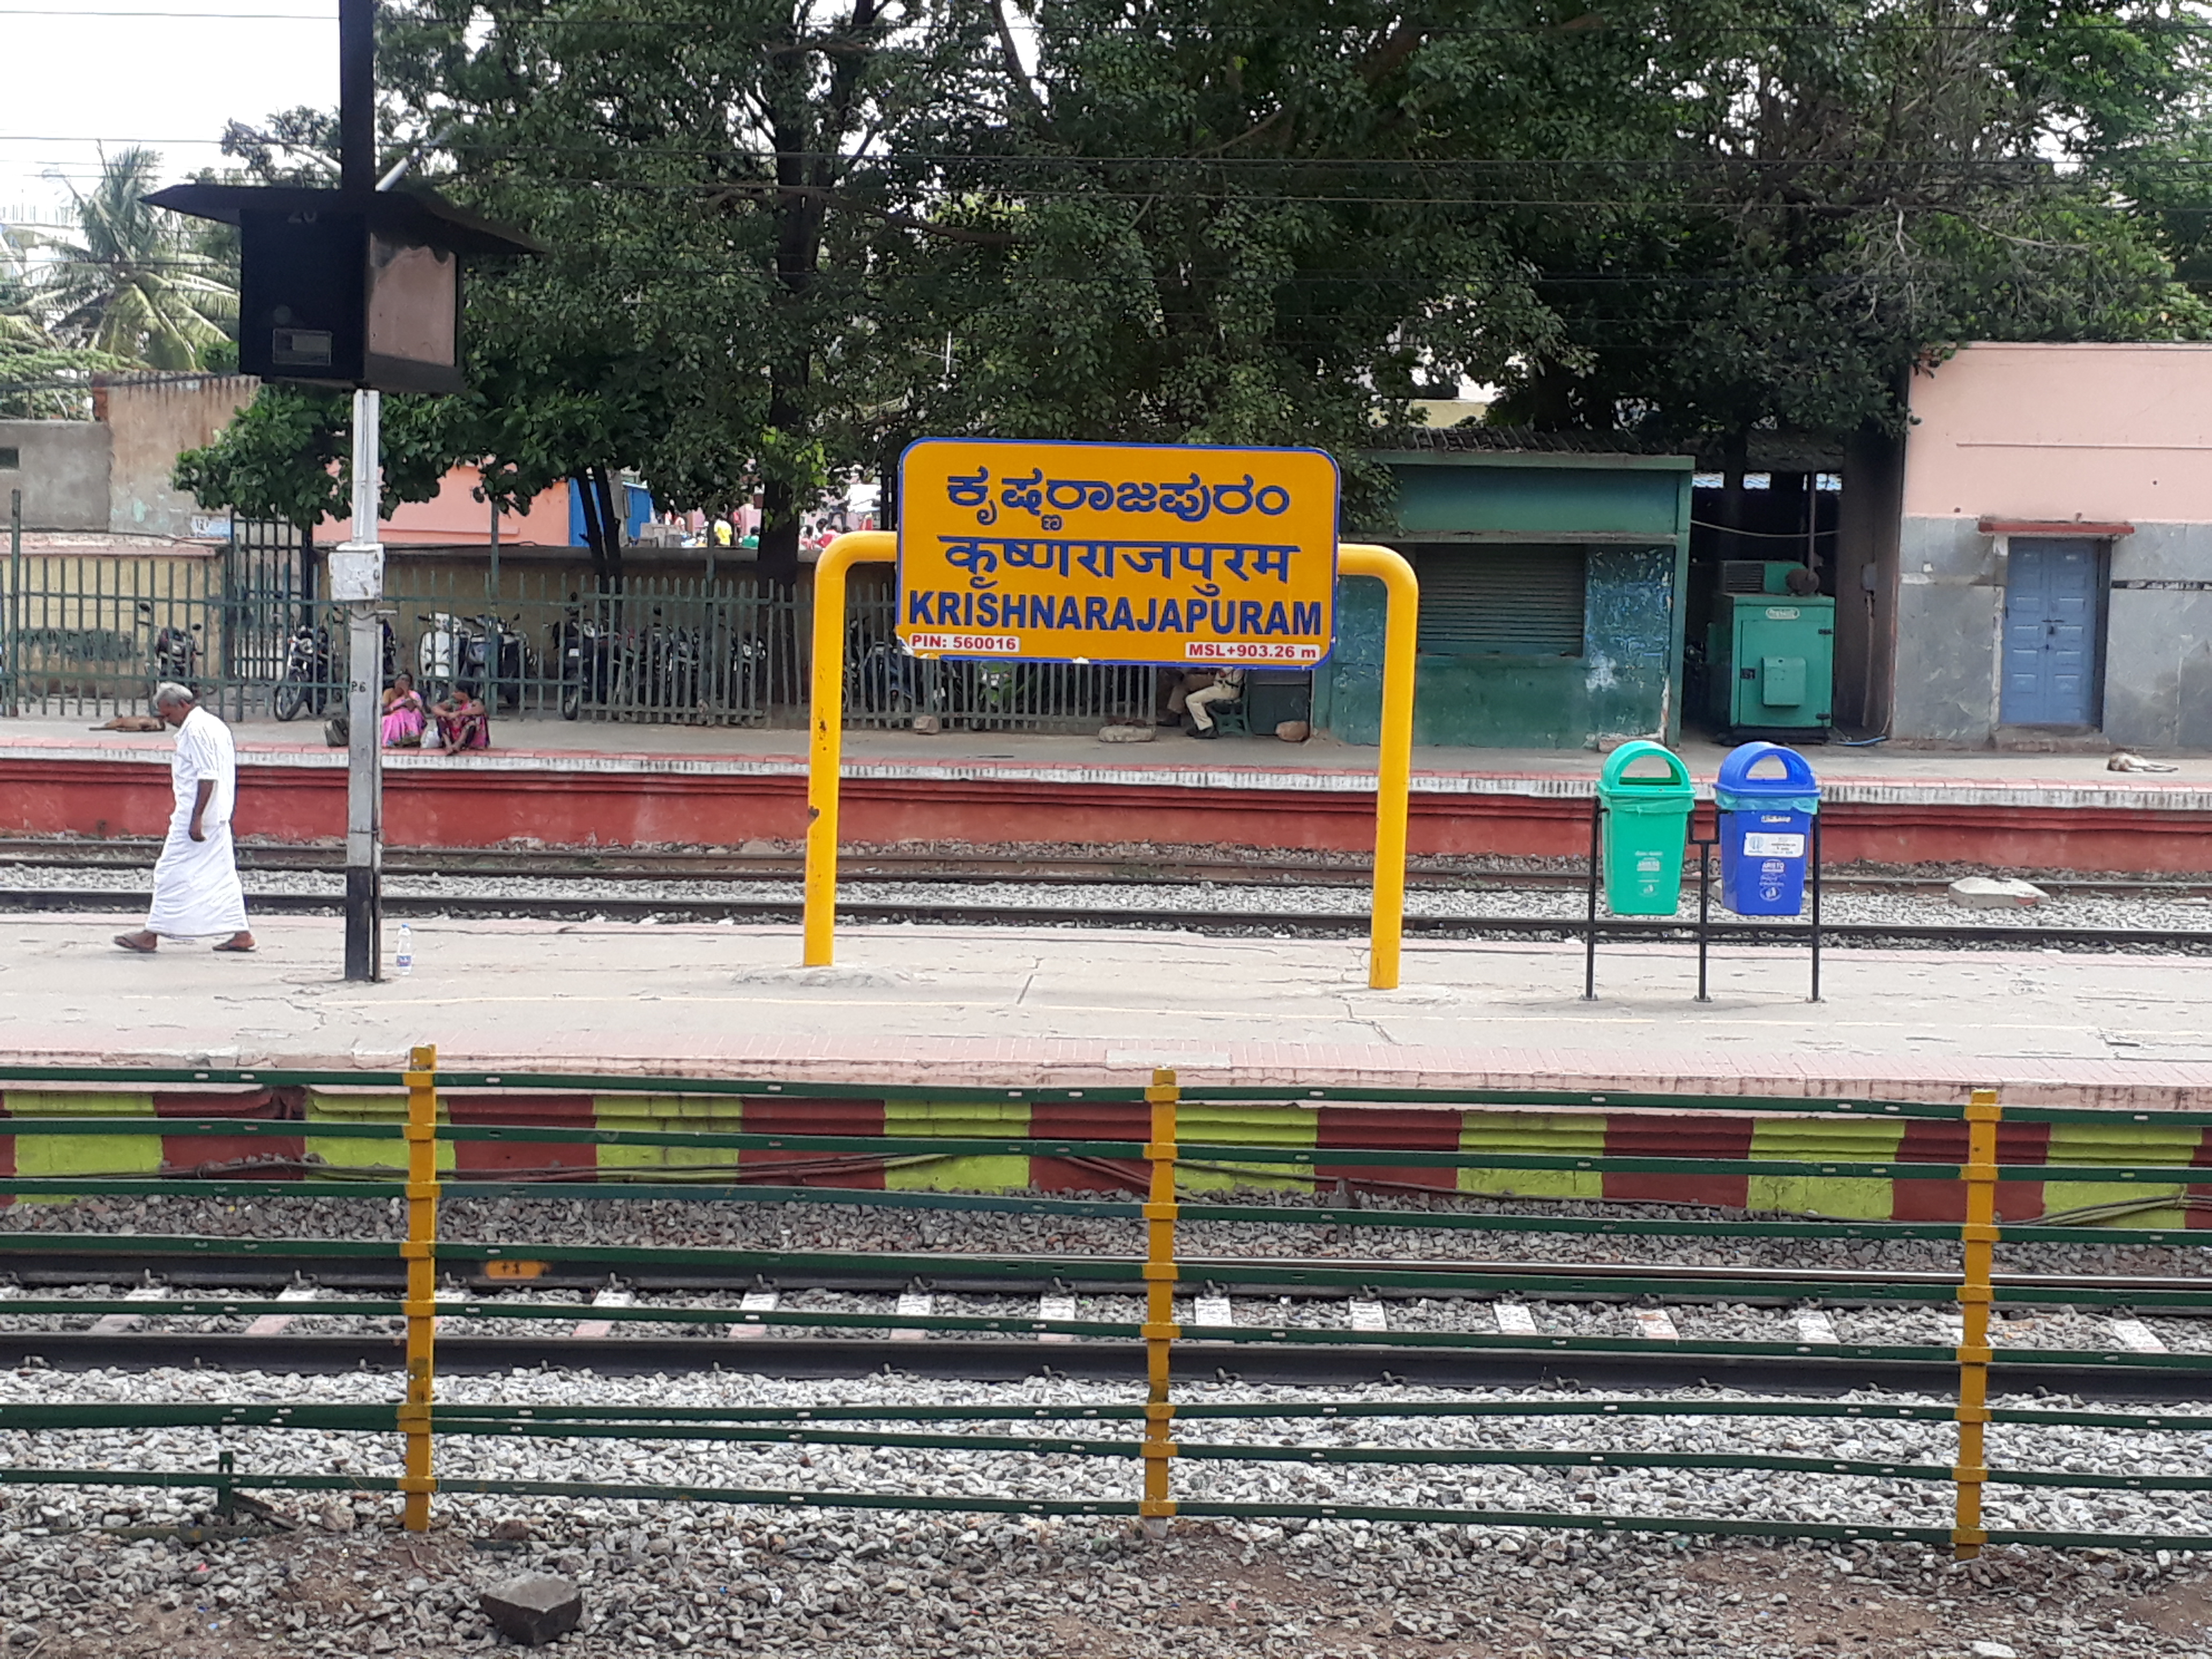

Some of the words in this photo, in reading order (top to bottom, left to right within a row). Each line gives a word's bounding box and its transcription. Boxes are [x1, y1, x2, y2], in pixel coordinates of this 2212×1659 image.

[938, 457, 1295, 534] ಕೃಷ್ಣರಾಜಪುರಂ
[933, 529, 1303, 601] कृष्णराजपुरम
[905, 588, 1323, 641] KRISHNARAJAPURAM
[905, 632, 1020, 652] PIN:560016
[1187, 641, 1320, 661] MSL+903.26m